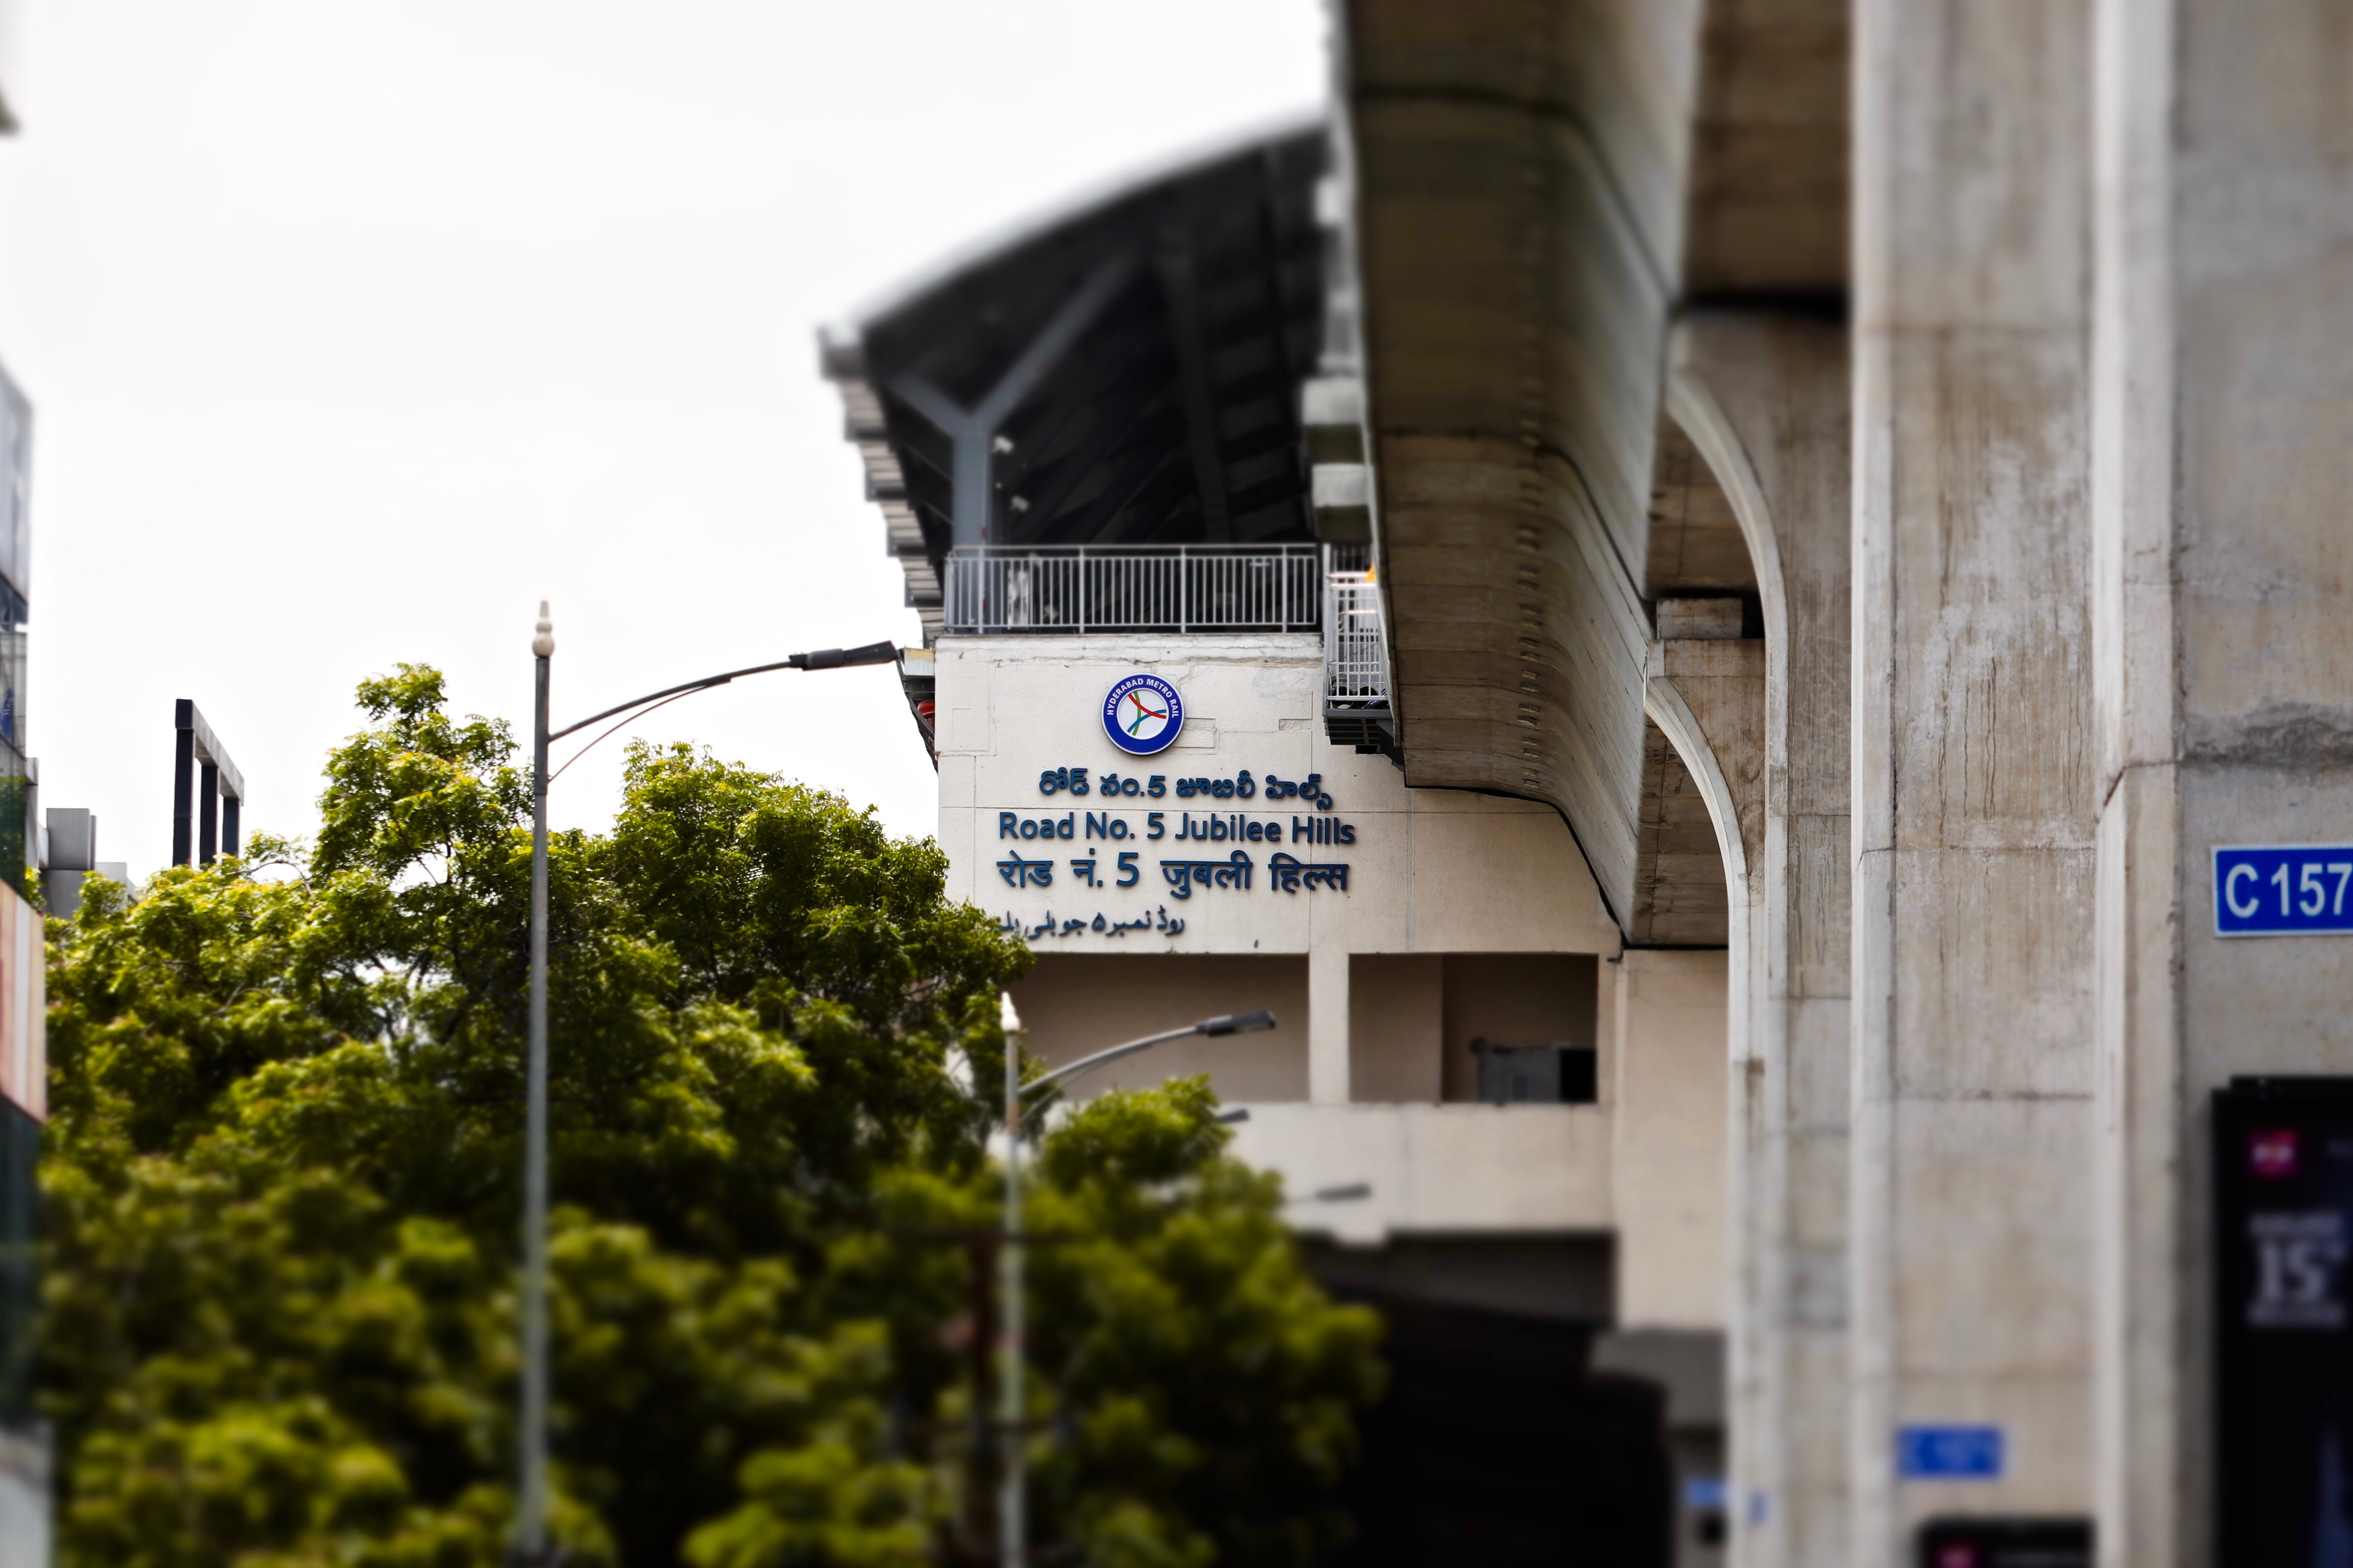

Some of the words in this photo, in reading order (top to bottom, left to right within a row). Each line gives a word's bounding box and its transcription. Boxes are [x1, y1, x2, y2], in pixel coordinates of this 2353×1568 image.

[1102, 674, 1146, 719] HYDERABAD
[1144, 675, 1174, 701] METRO
[1167, 695, 1182, 720] RAIL
[1034, 763, 1172, 801] రోడ్ నం.5
[1171, 766, 1259, 801] జూబిలీ
[1262, 771, 1335, 813] హిల్స్
[994, 807, 1078, 846] Road
[1074, 805, 1141, 850] No.
[1170, 811, 1283, 844] Jubilee
[1288, 812, 1358, 847] Hills
[995, 846, 1058, 892] रोड
[1069, 845, 1140, 892] नं. 5
[1160, 845, 1254, 903] जुबली
[1266, 846, 1350, 898] हिल्स
[2221, 842, 2353, 933] C157